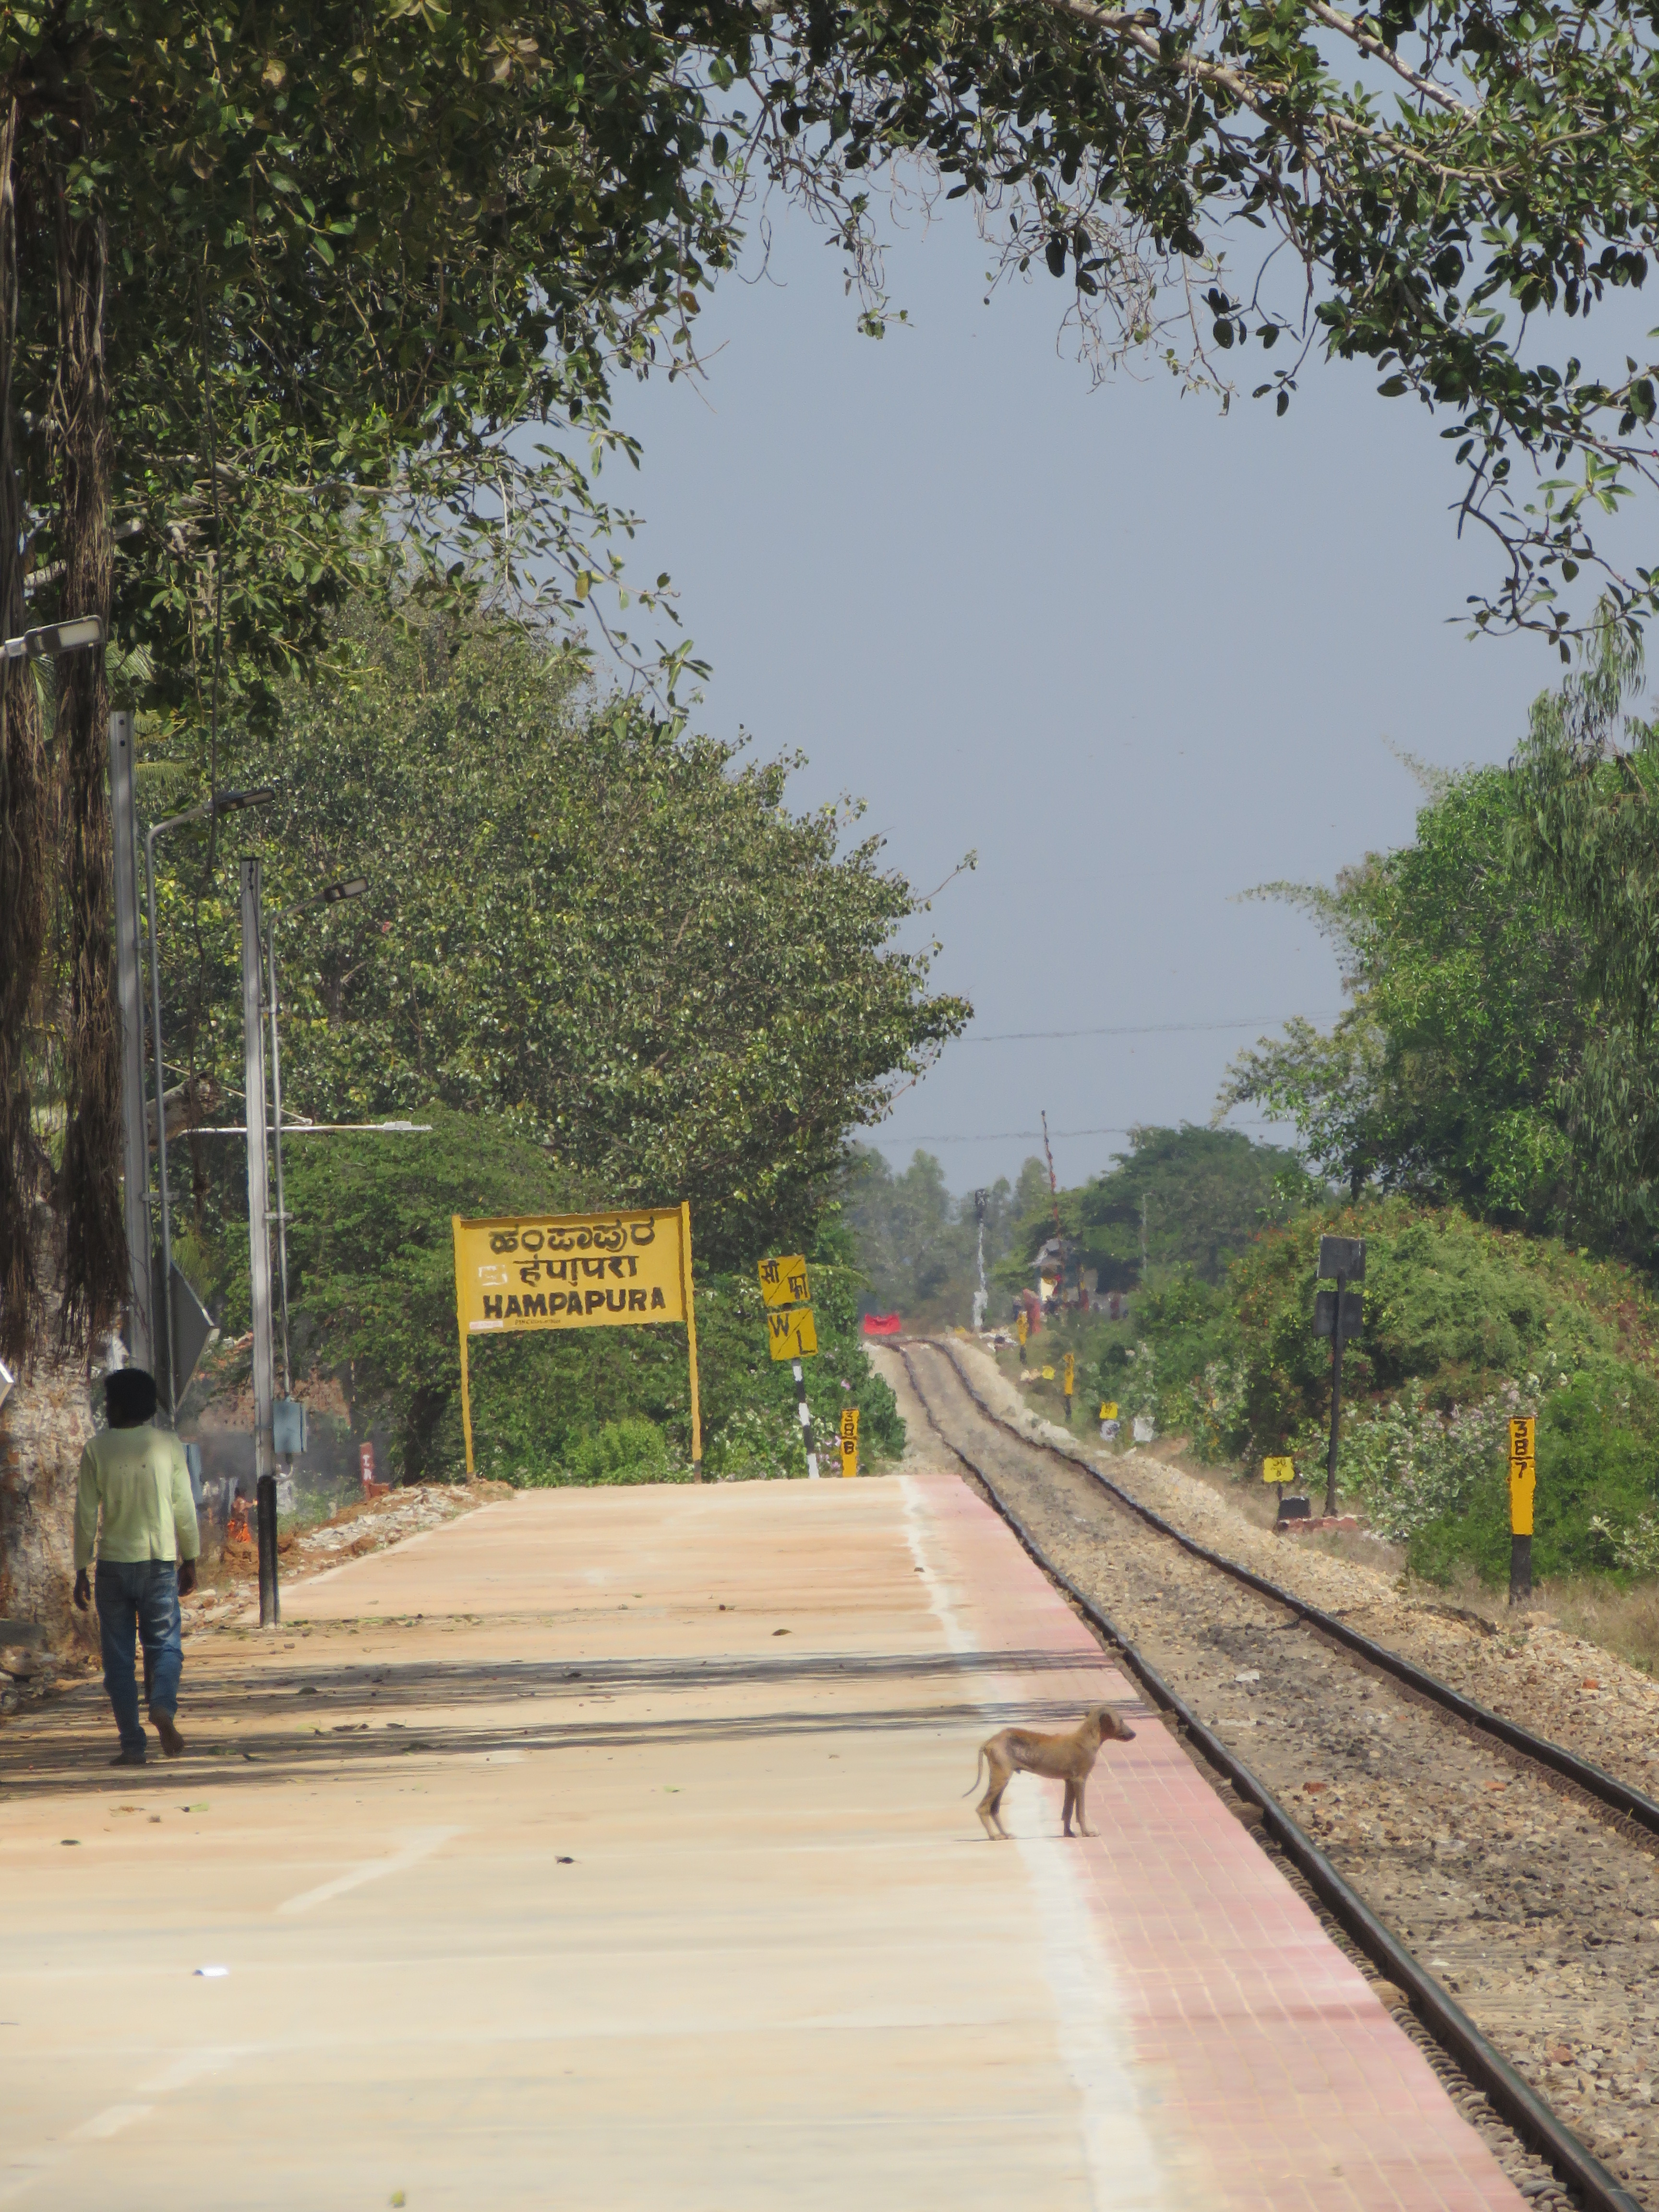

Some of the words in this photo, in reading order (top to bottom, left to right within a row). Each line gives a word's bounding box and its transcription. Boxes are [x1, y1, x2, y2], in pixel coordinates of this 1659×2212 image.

[487, 1215, 663, 1261] ಹಂಪಾಪುರ
[511, 1250, 646, 1292] ೯೪೪೧
[480, 1282, 672, 1329] HAMPAPURA